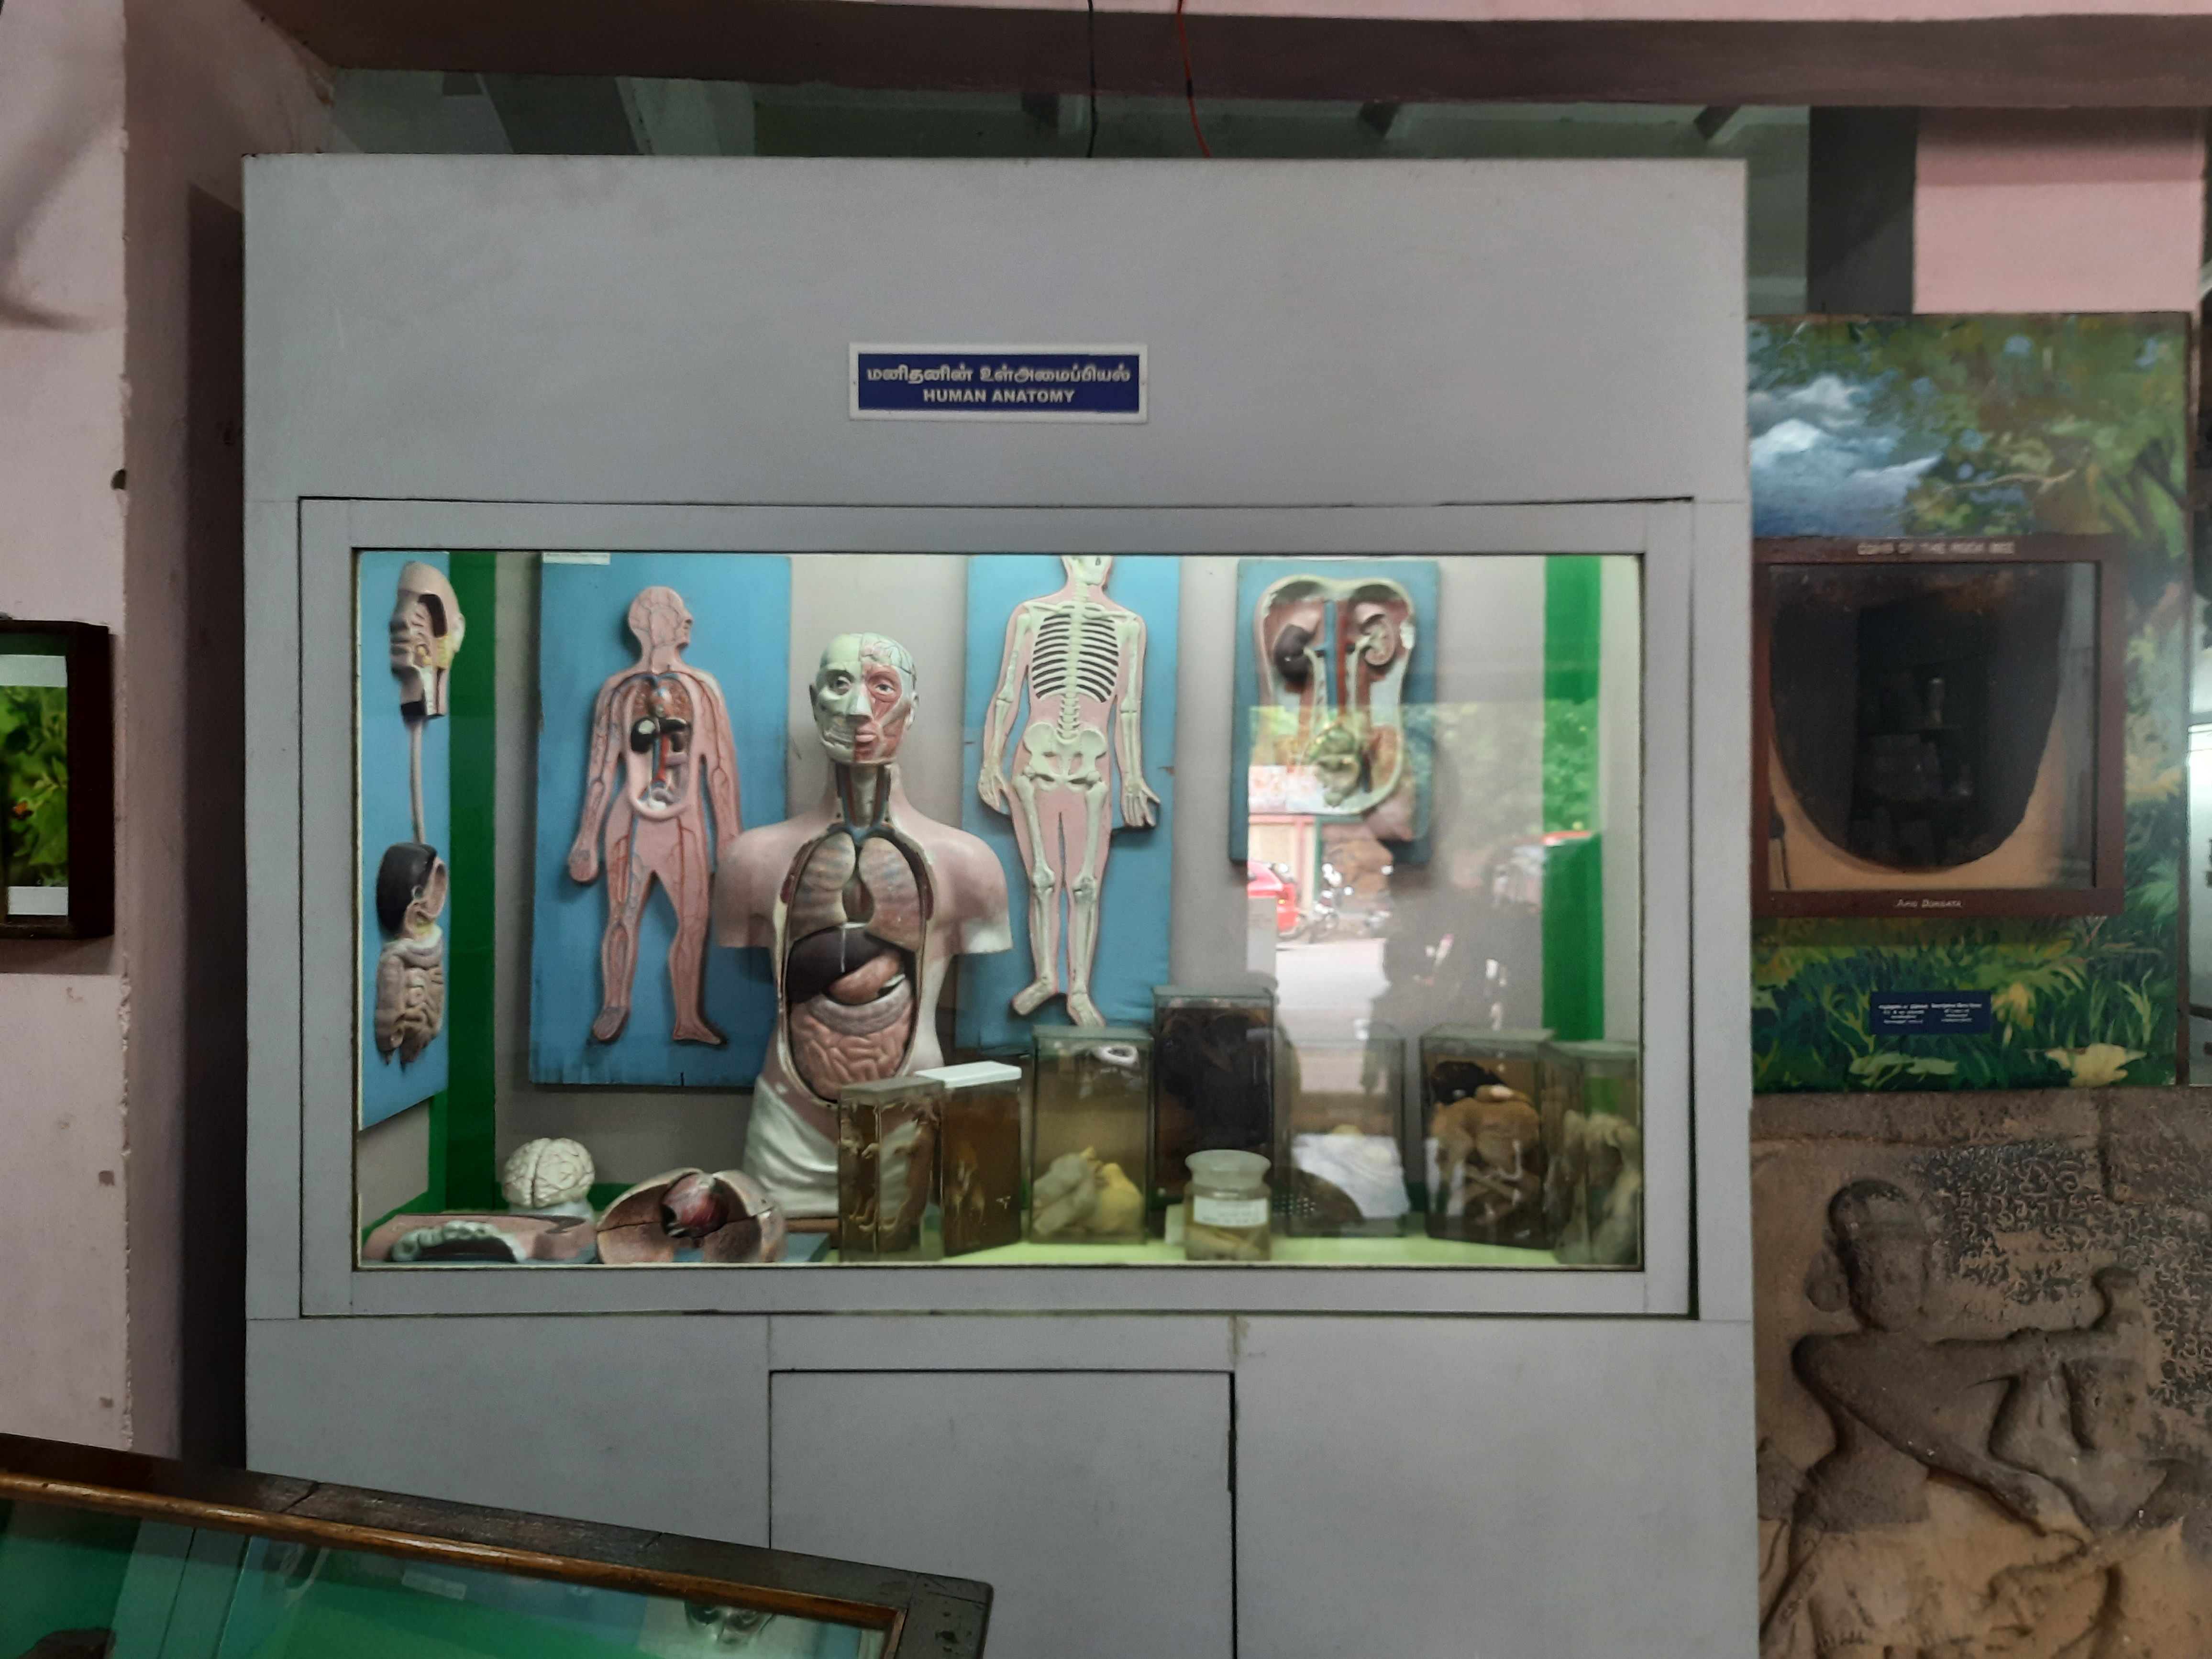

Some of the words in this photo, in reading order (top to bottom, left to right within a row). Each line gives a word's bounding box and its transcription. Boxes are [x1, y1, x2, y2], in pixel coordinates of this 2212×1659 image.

[864, 360, 975, 388] மனிதனின்
[977, 360, 1134, 385] உள்அமைப்பியல்
[919, 386, 989, 406] HUMAN
[989, 388, 1074, 405] ANATOMY